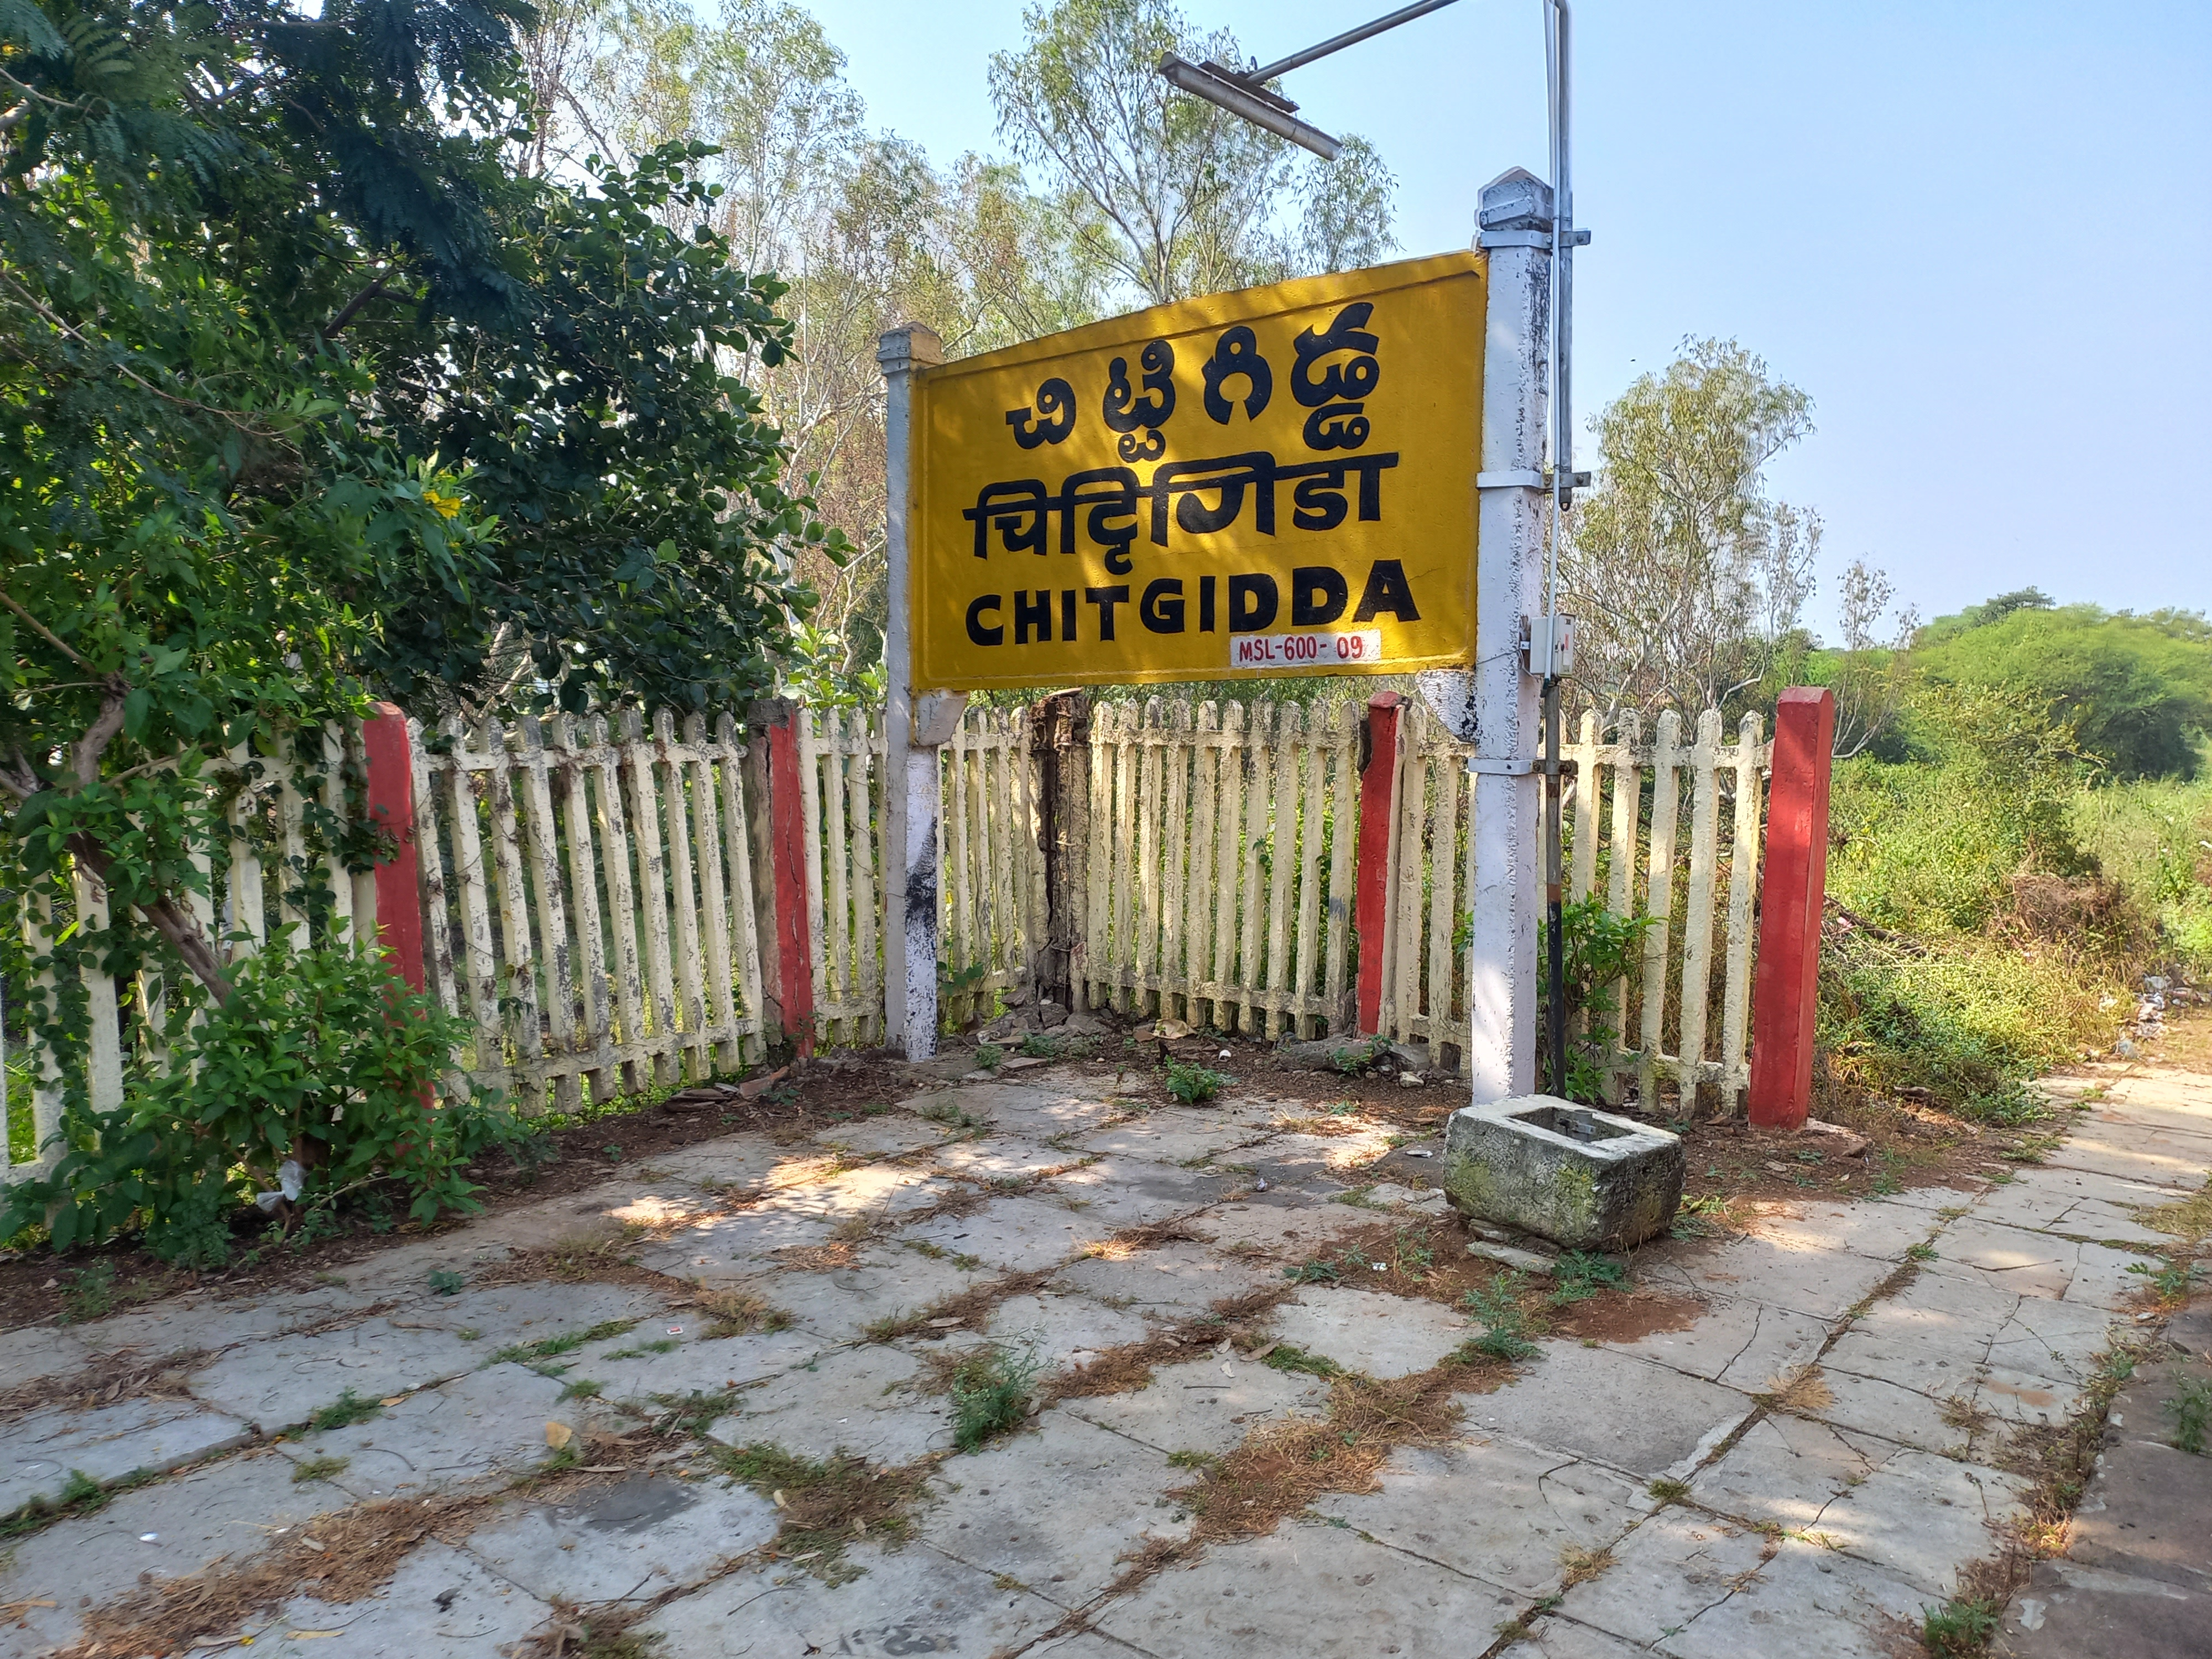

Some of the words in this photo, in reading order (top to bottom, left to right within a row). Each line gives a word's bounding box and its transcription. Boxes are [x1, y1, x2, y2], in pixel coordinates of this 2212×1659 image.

[993, 298, 1384, 470] చిట్టిగిడ్డ
[952, 446, 1402, 578] चिट्टिगिडा
[959, 556, 1425, 651] CHITGIDDA
[1236, 631, 1366, 670] MSL-600-09